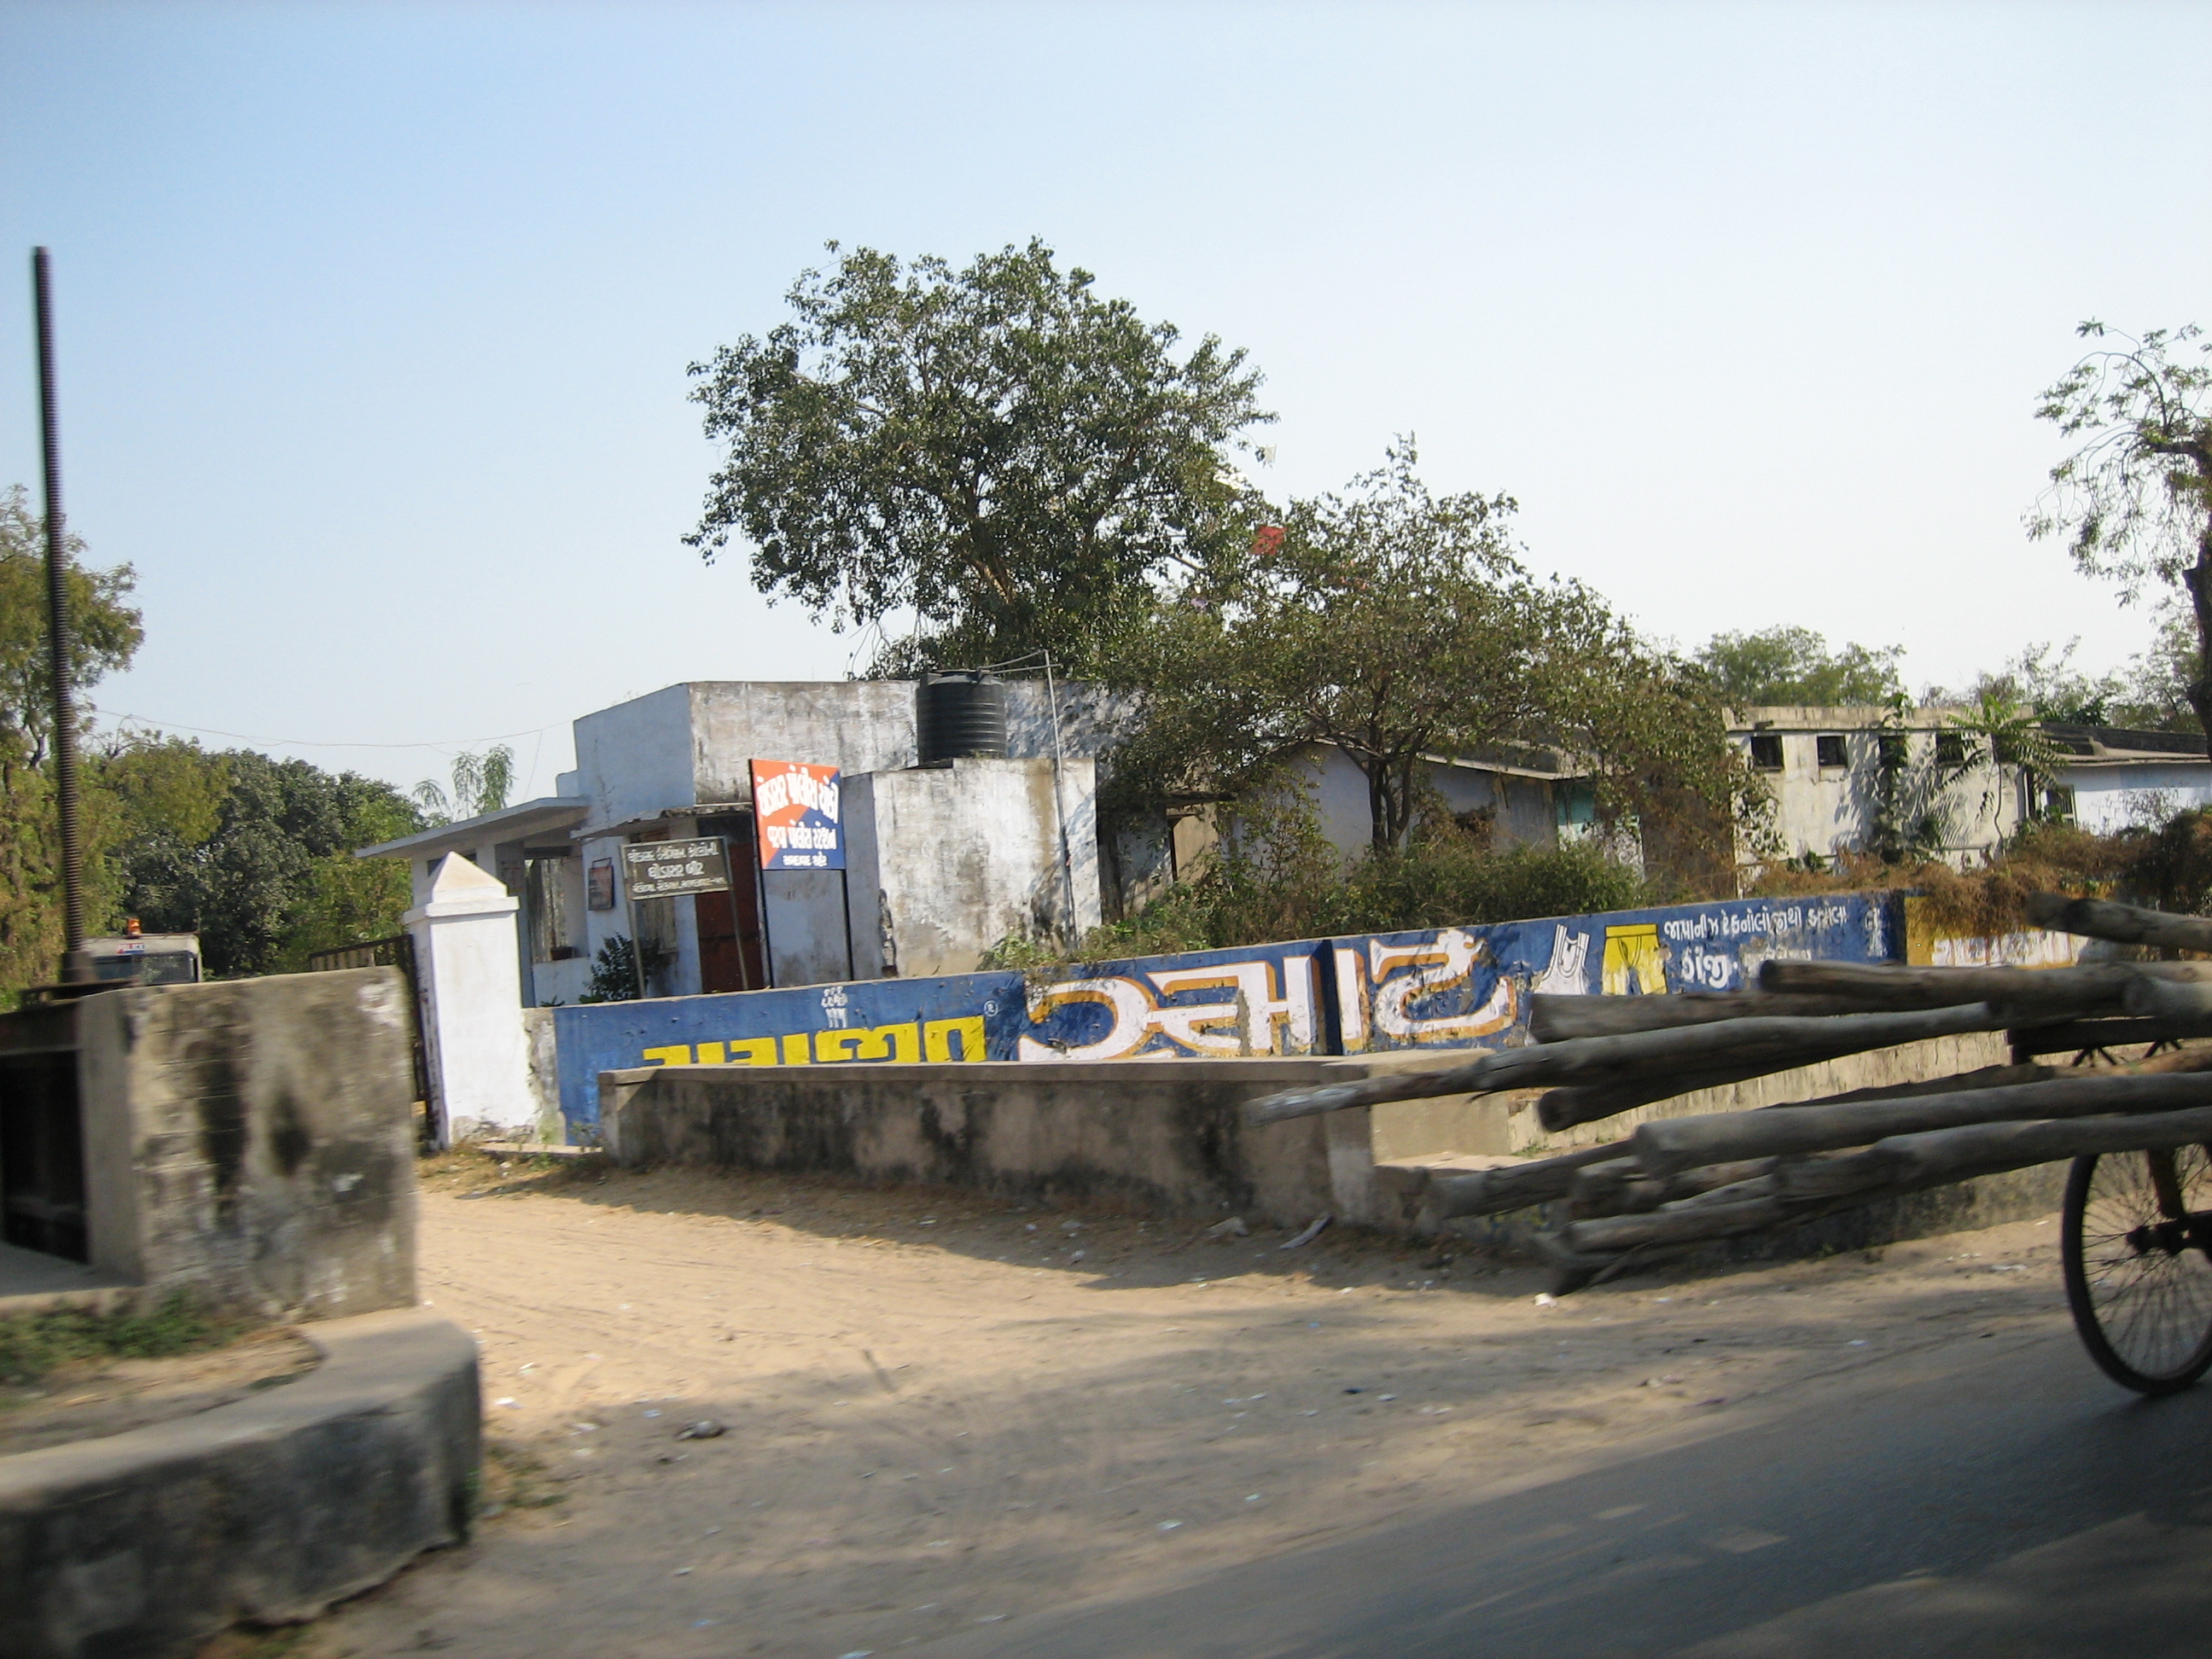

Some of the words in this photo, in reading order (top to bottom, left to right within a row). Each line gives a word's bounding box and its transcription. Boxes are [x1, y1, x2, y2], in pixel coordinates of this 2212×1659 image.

[1109, 938, 1465, 1059] સ્માર્ટ
[1674, 952, 1731, 985] ગજી